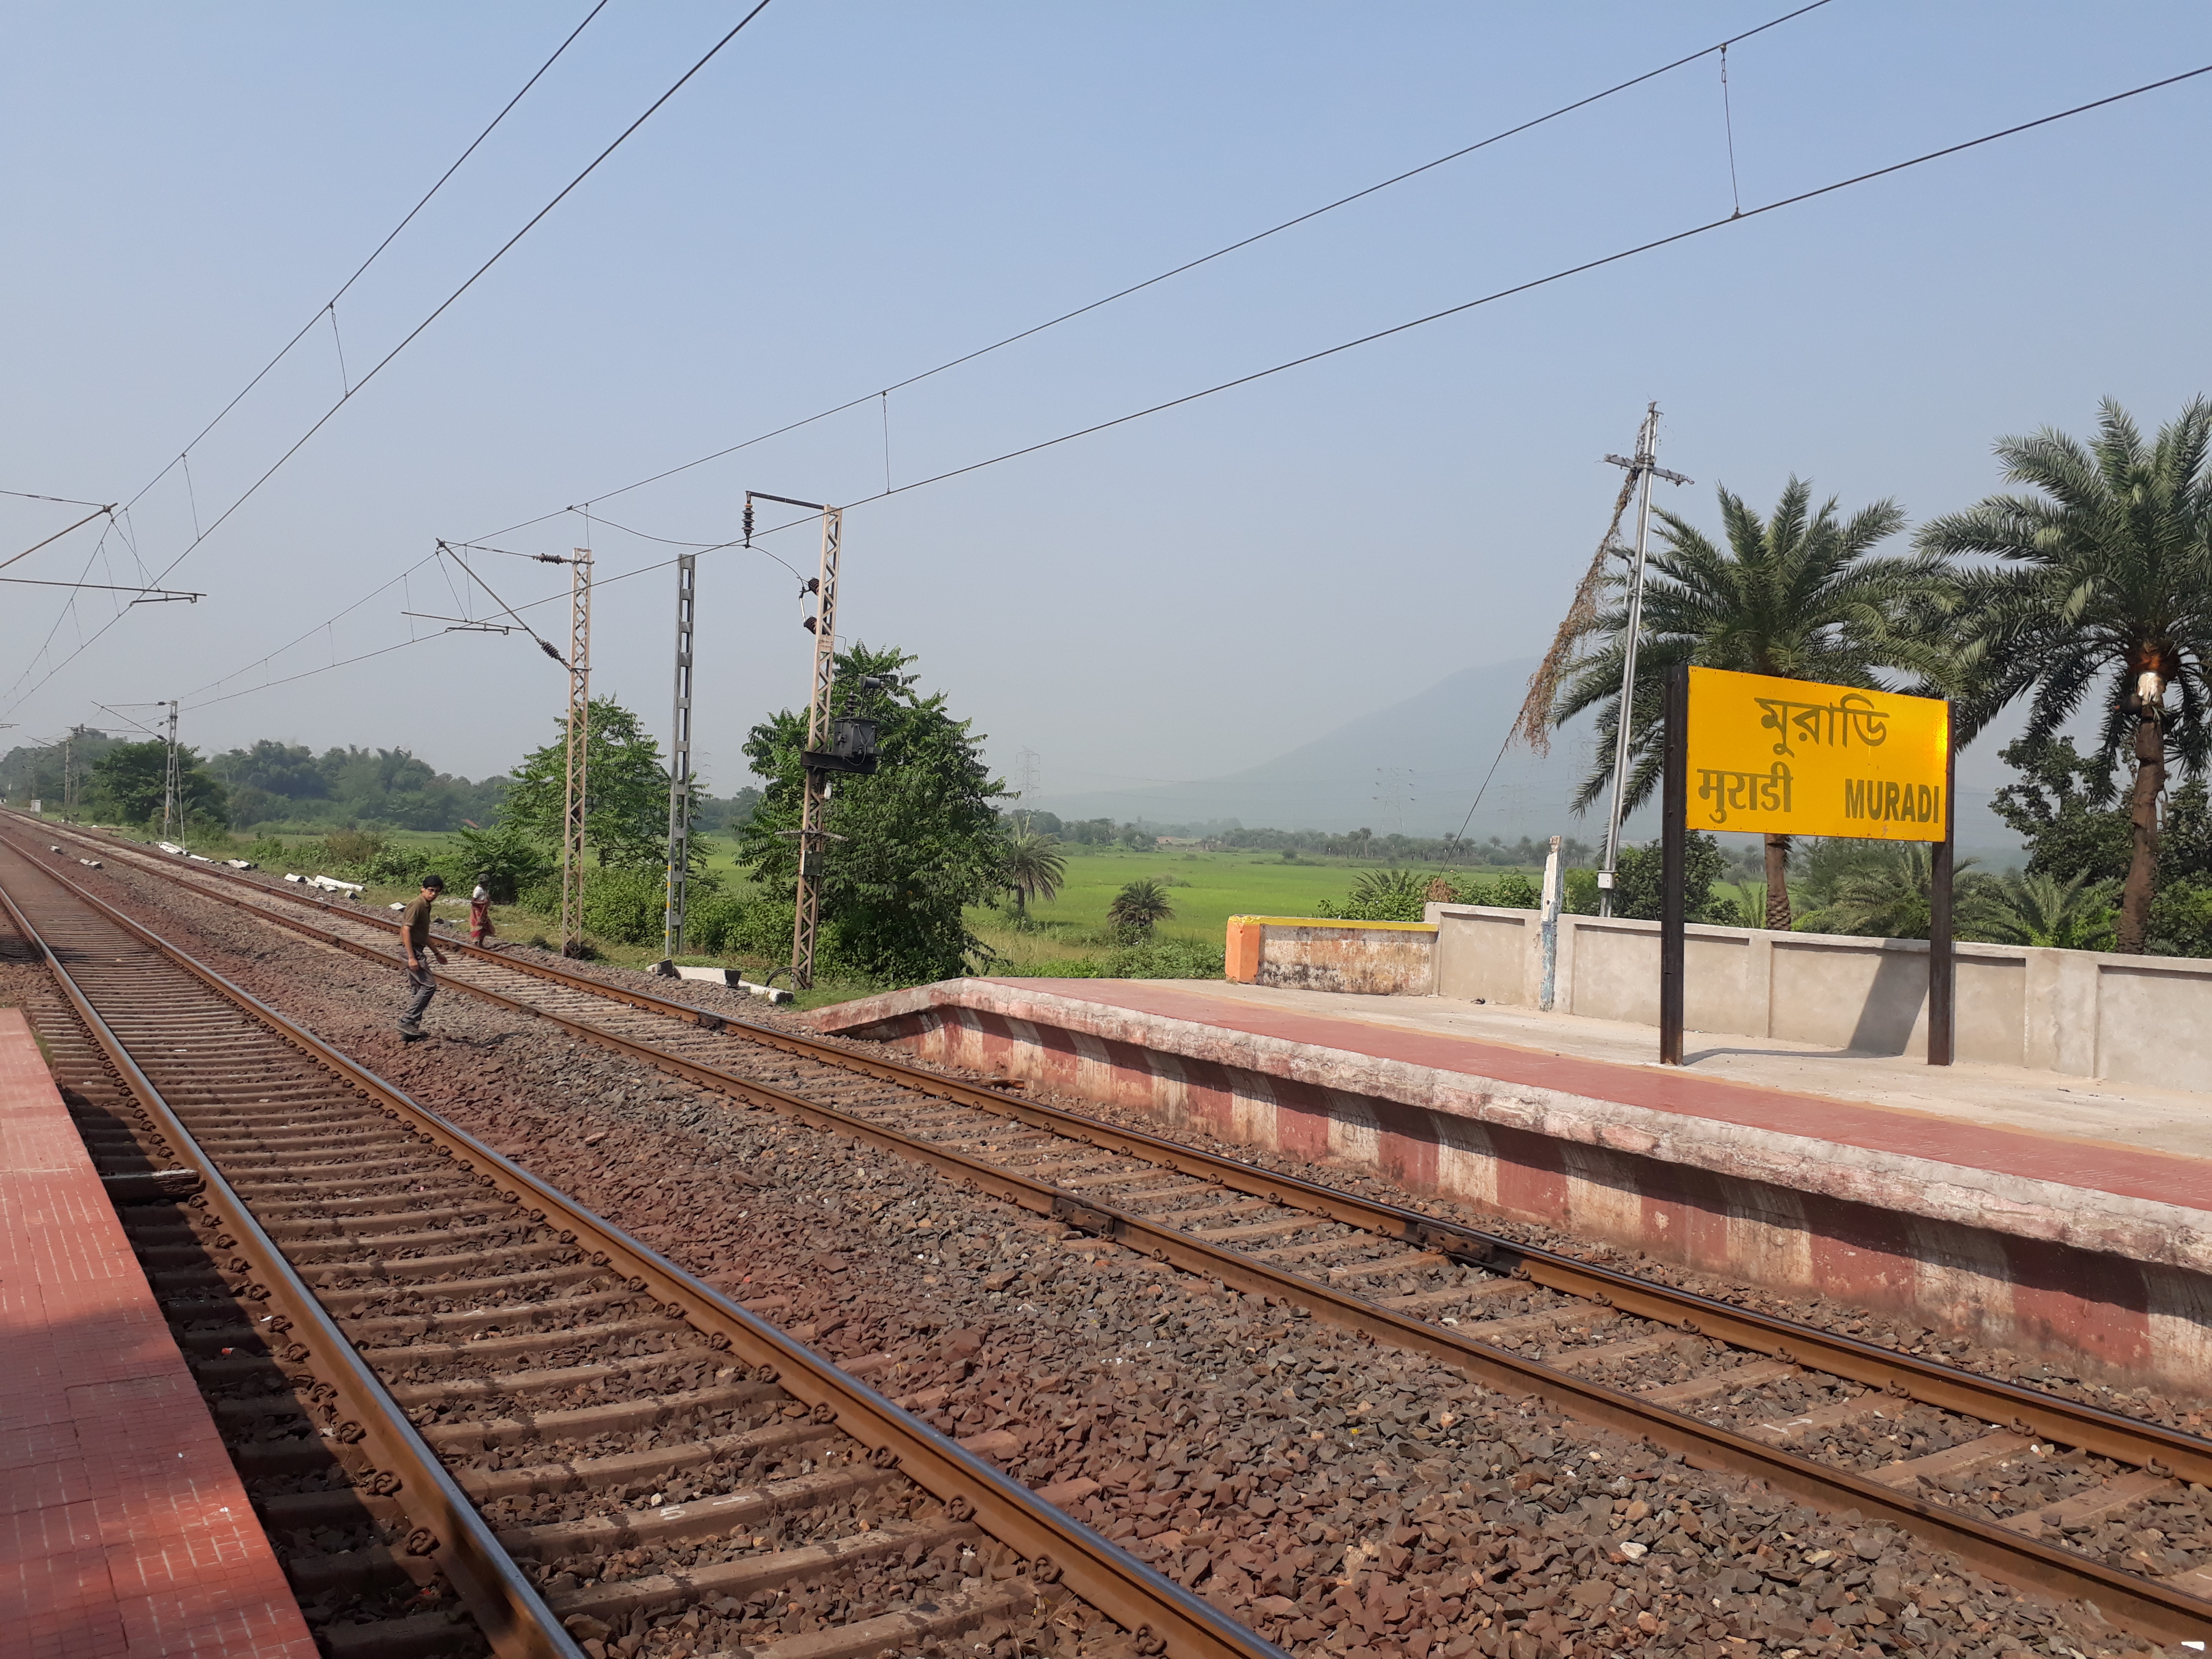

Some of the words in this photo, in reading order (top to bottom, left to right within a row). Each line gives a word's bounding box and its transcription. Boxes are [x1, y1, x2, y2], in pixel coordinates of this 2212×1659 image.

[1748, 679, 1897, 761] মরাডি
[1684, 749, 1799, 825] मुराडी
[1835, 764, 1945, 829] MURADI